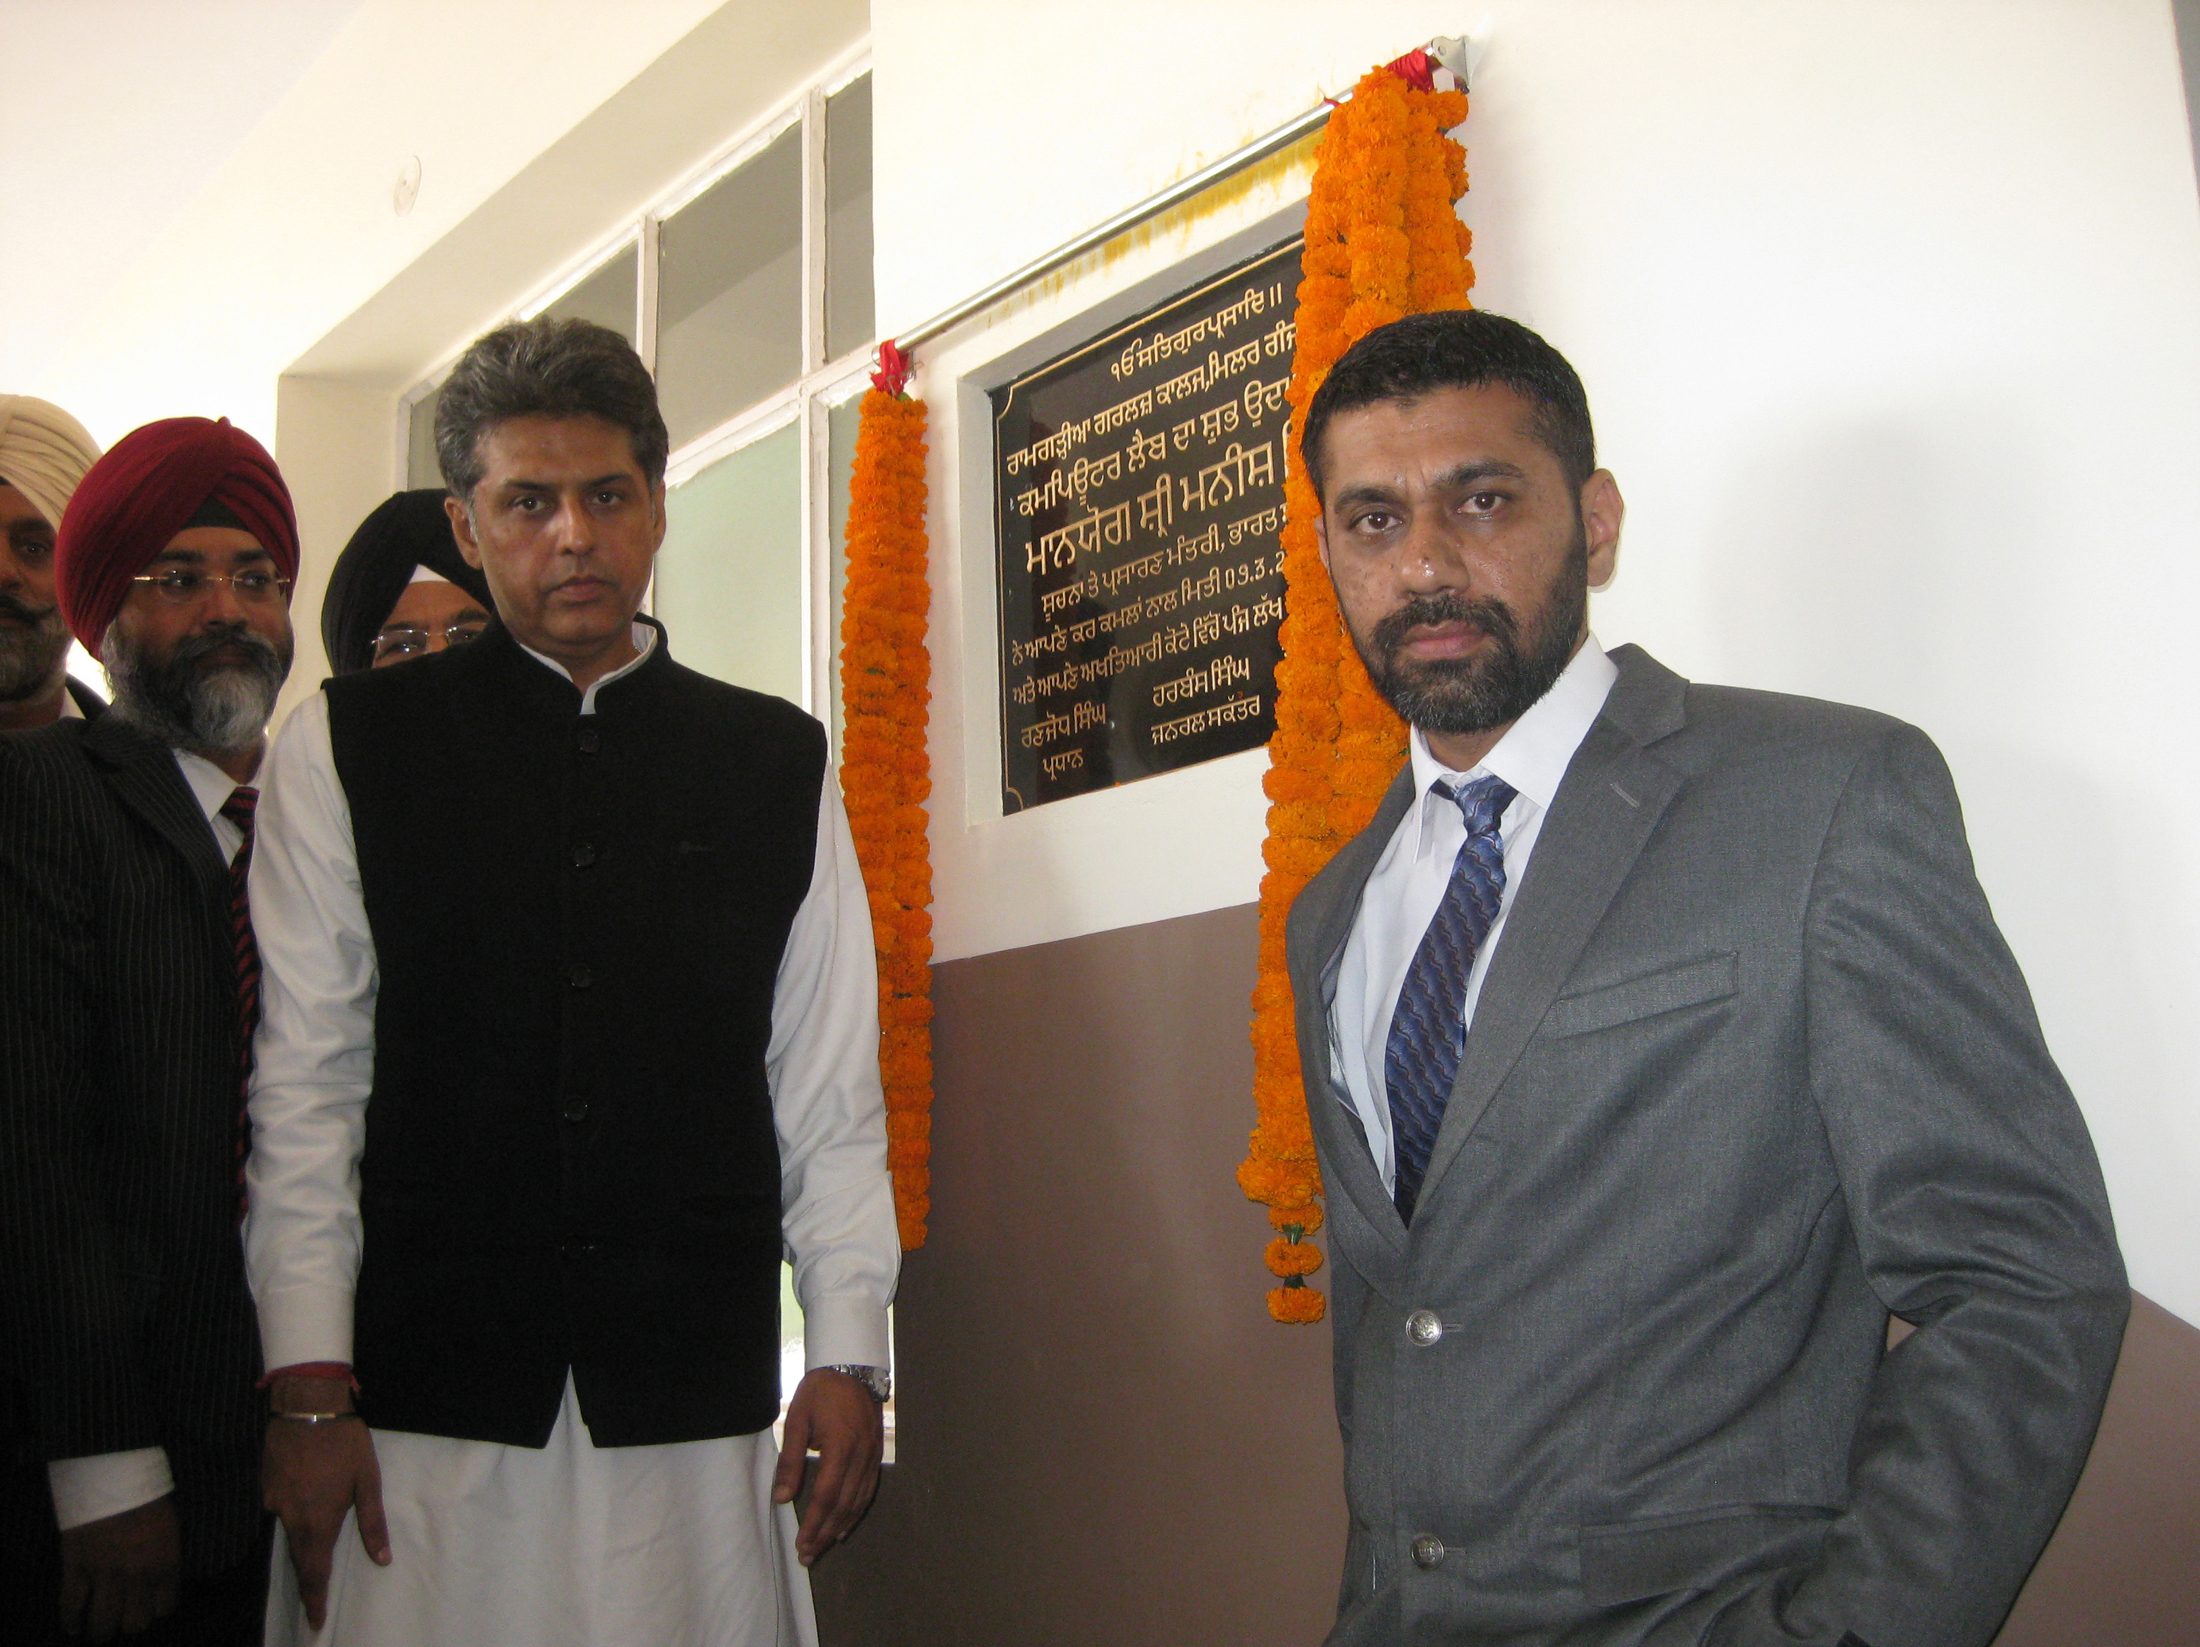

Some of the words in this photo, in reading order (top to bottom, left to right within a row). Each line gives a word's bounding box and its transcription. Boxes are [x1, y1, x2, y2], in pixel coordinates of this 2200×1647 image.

[1103, 332, 1147, 384] ੧ਓ
[1135, 283, 1273, 374] ਸਤਿਗੁਰਪ੍ਰਸਾਦਿ
[1205, 331, 1265, 388] ਮਿਲਰ
[1261, 313, 1296, 362] ਗੰਜ
[997, 411, 1094, 481] ਰਾਮਗੜ੍ਹੀਆ
[1006, 445, 1128, 525] ਕਮਪਿਊਟਰ
[1011, 491, 1139, 583] ਮਾਨਯੋਗ
[1090, 381, 1156, 439] ਗਰਲਜ਼
[1121, 423, 1170, 480] ਲੈਬ
[1133, 470, 1179, 543] ਸ਼0
[1151, 356, 1208, 415] ਕਾਲਜ
[1166, 411, 1199, 457] ਦਾ
[1163, 519, 1223, 572] ਮੰਤਰੀ,
[1196, 392, 1243, 449] ਸ਼ੁਭ
[1172, 432, 1277, 520] ਮਨੀਸ਼
[1223, 503, 1282, 549] ਭਾਰਤ
[1238, 372, 1294, 431] ਉਦਾ
[1005, 634, 1025, 669] ਨੇ
[1004, 671, 1038, 711] ਅਤੇ
[1016, 705, 1073, 755] ਰਣਜੋੋਧ
[1023, 620, 1071, 665] ਆਪਣੇ
[1033, 655, 1081, 701] ਆਪਣੇ
[1034, 574, 1086, 626] ਸੂਚਨਾ
[1067, 611, 1099, 648] ਕਰ
[1084, 567, 1101, 601] ਤੇ
[1069, 696, 1118, 736] ਸਿੰਘ
[1095, 589, 1146, 639] ਕਮਲਾਂ
[1077, 625, 1164, 687] ਅਖਤਿਆਰੀ
[1099, 547, 1167, 598] ਪ੍ਰਸਾਰਣ
[1143, 582, 1180, 622] ਨਾਲ
[1143, 706, 1207, 752] ਜਨਰਲ
[1161, 617, 1193, 662] ਕੋਟੇ
[1143, 661, 1211, 713] ਹਰਬੰਸ
[1176, 564, 1222, 607] ਮਿਤੀ
[1190, 605, 1224, 651] ਵਿੱਚੋਂ
[1208, 650, 1259, 694] ਸਿੰਘ
[1204, 688, 1265, 730] ਸਕੱਤਰ
[1219, 598, 1252, 638] ਪੰਜ
[1223, 547, 1287, 594] 09.3.2
[1250, 589, 1289, 631] ਲੱਖ
[1038, 743, 1088, 784] ਪ੍ਰਧਾਨ